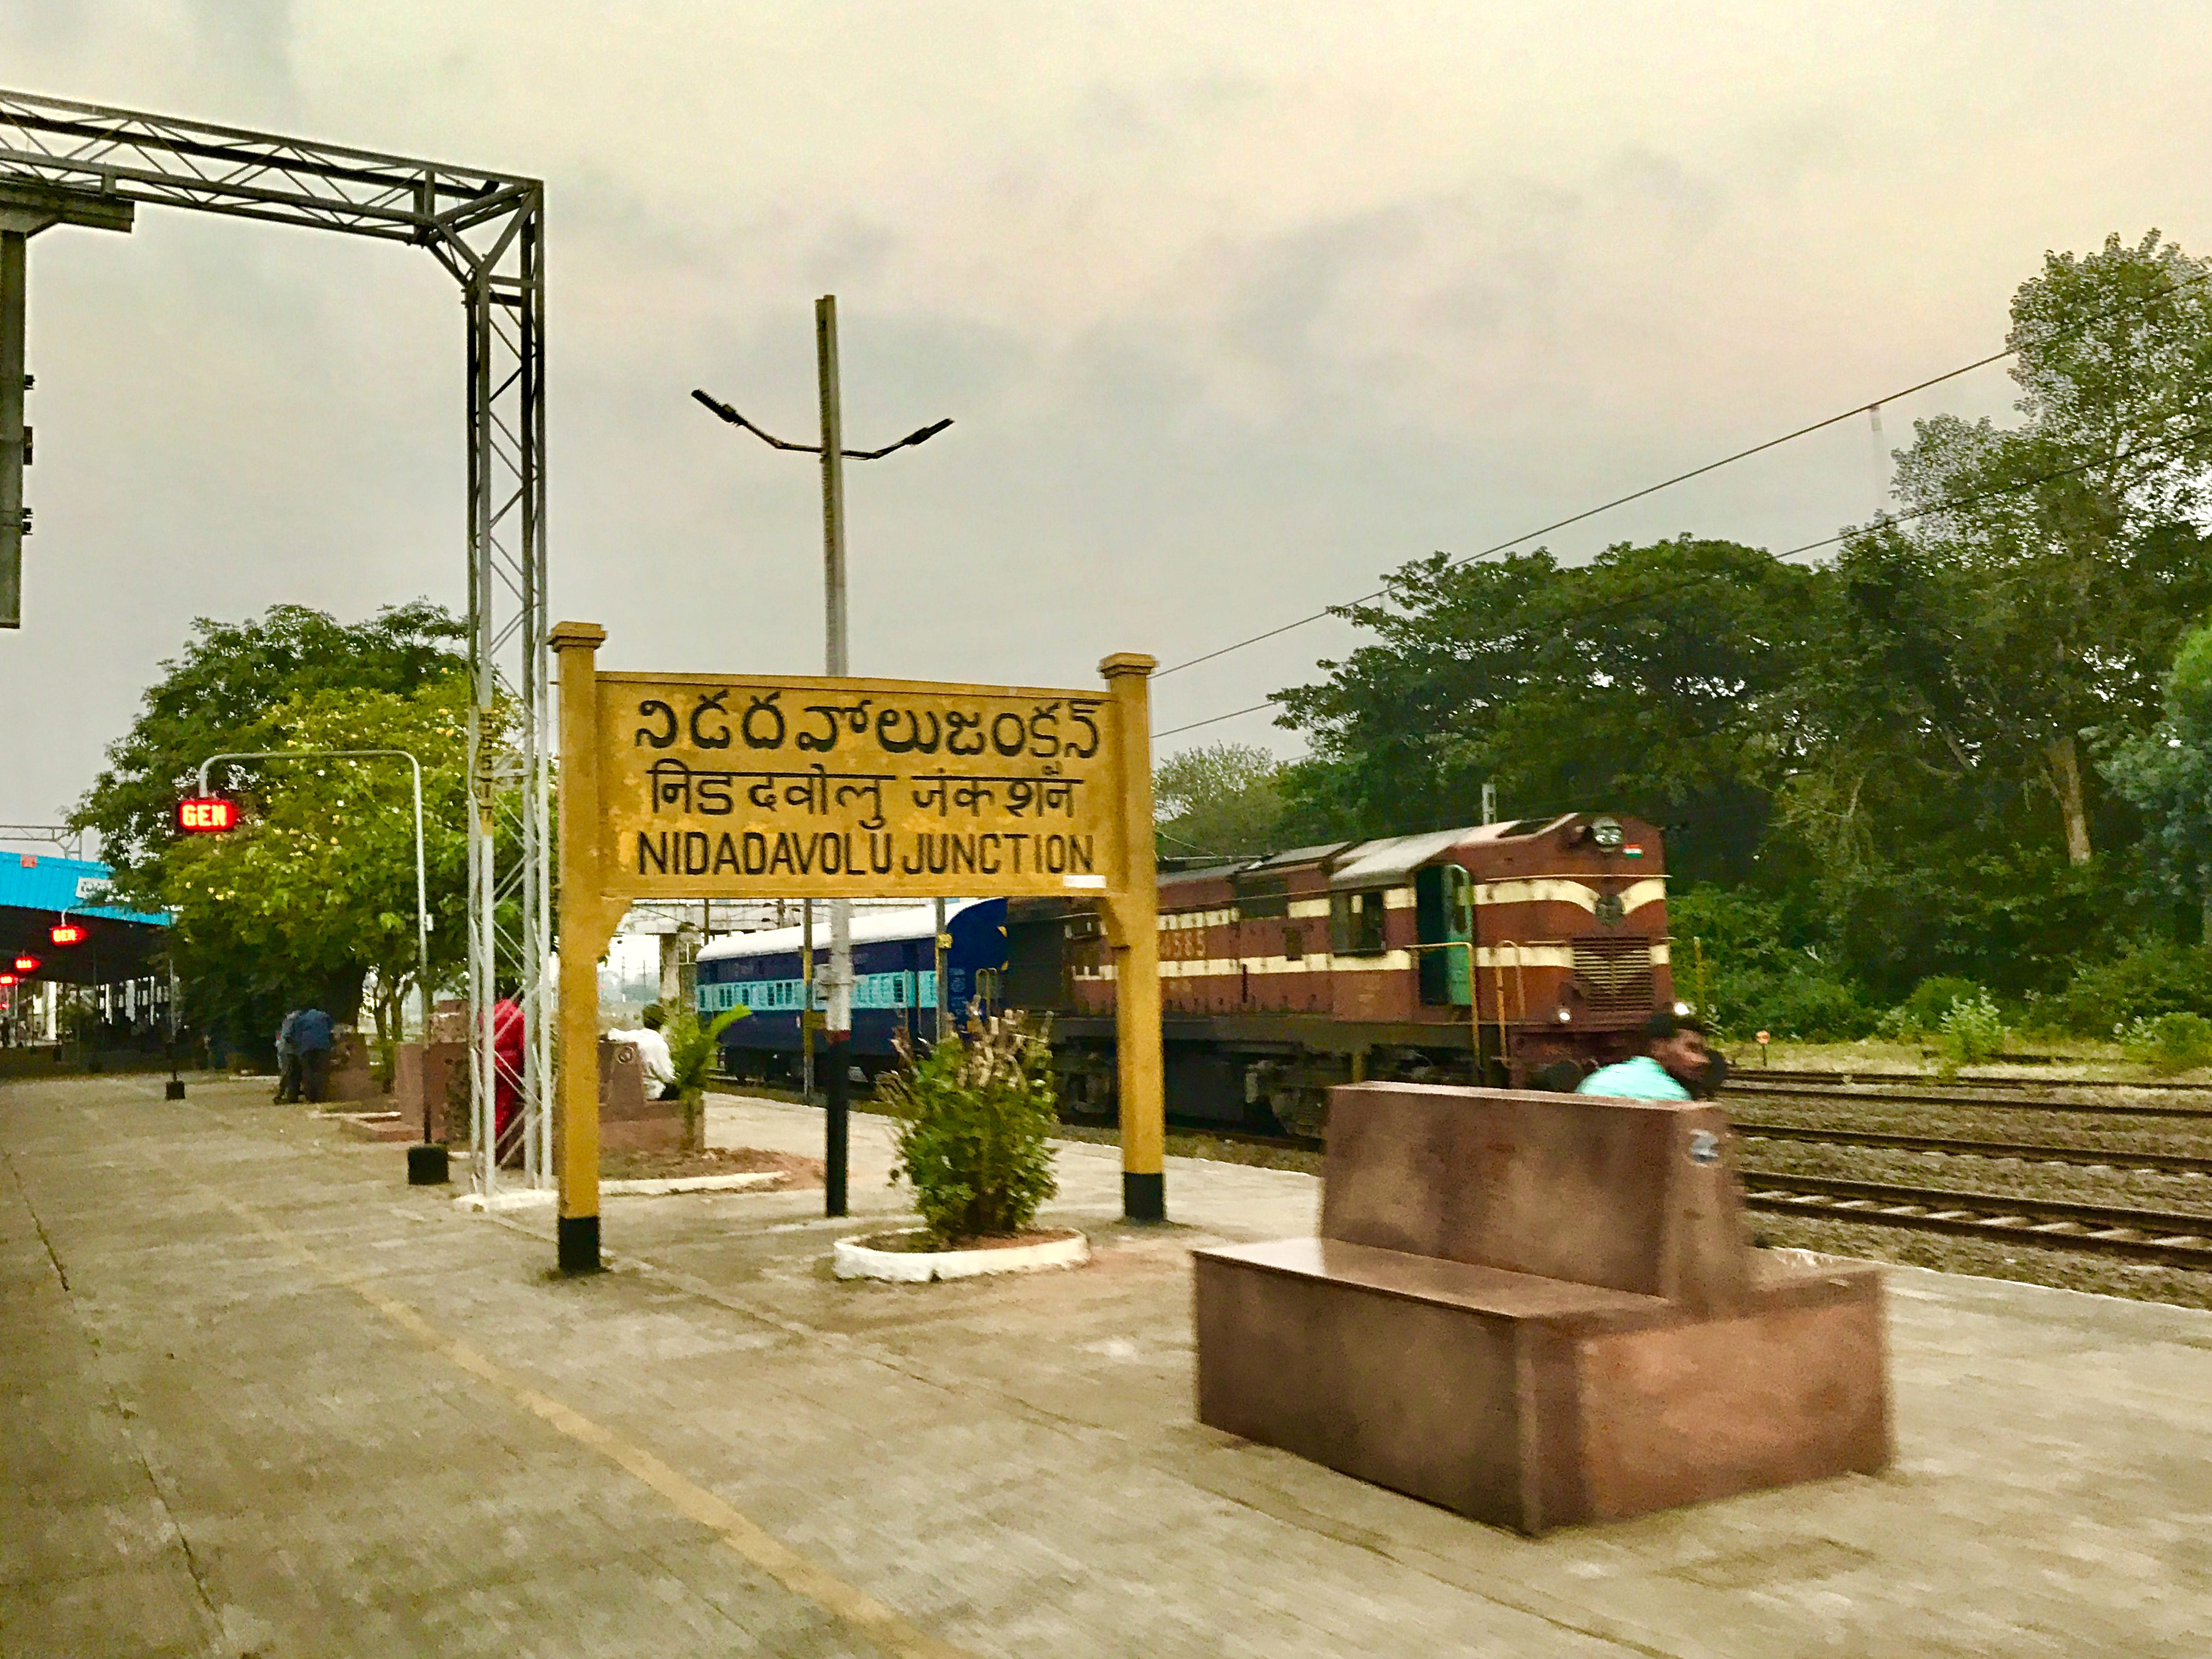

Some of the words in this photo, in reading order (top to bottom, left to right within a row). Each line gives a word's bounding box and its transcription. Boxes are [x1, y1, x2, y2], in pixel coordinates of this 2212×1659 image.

[629, 681, 1104, 766] నిడదవోలుజంకన్
[637, 749, 901, 834] निड़दवोलु
[909, 761, 1087, 820] जंक्शन
[630, 828, 900, 883] NIDADAVOLU
[896, 825, 1100, 882] JUNCTION